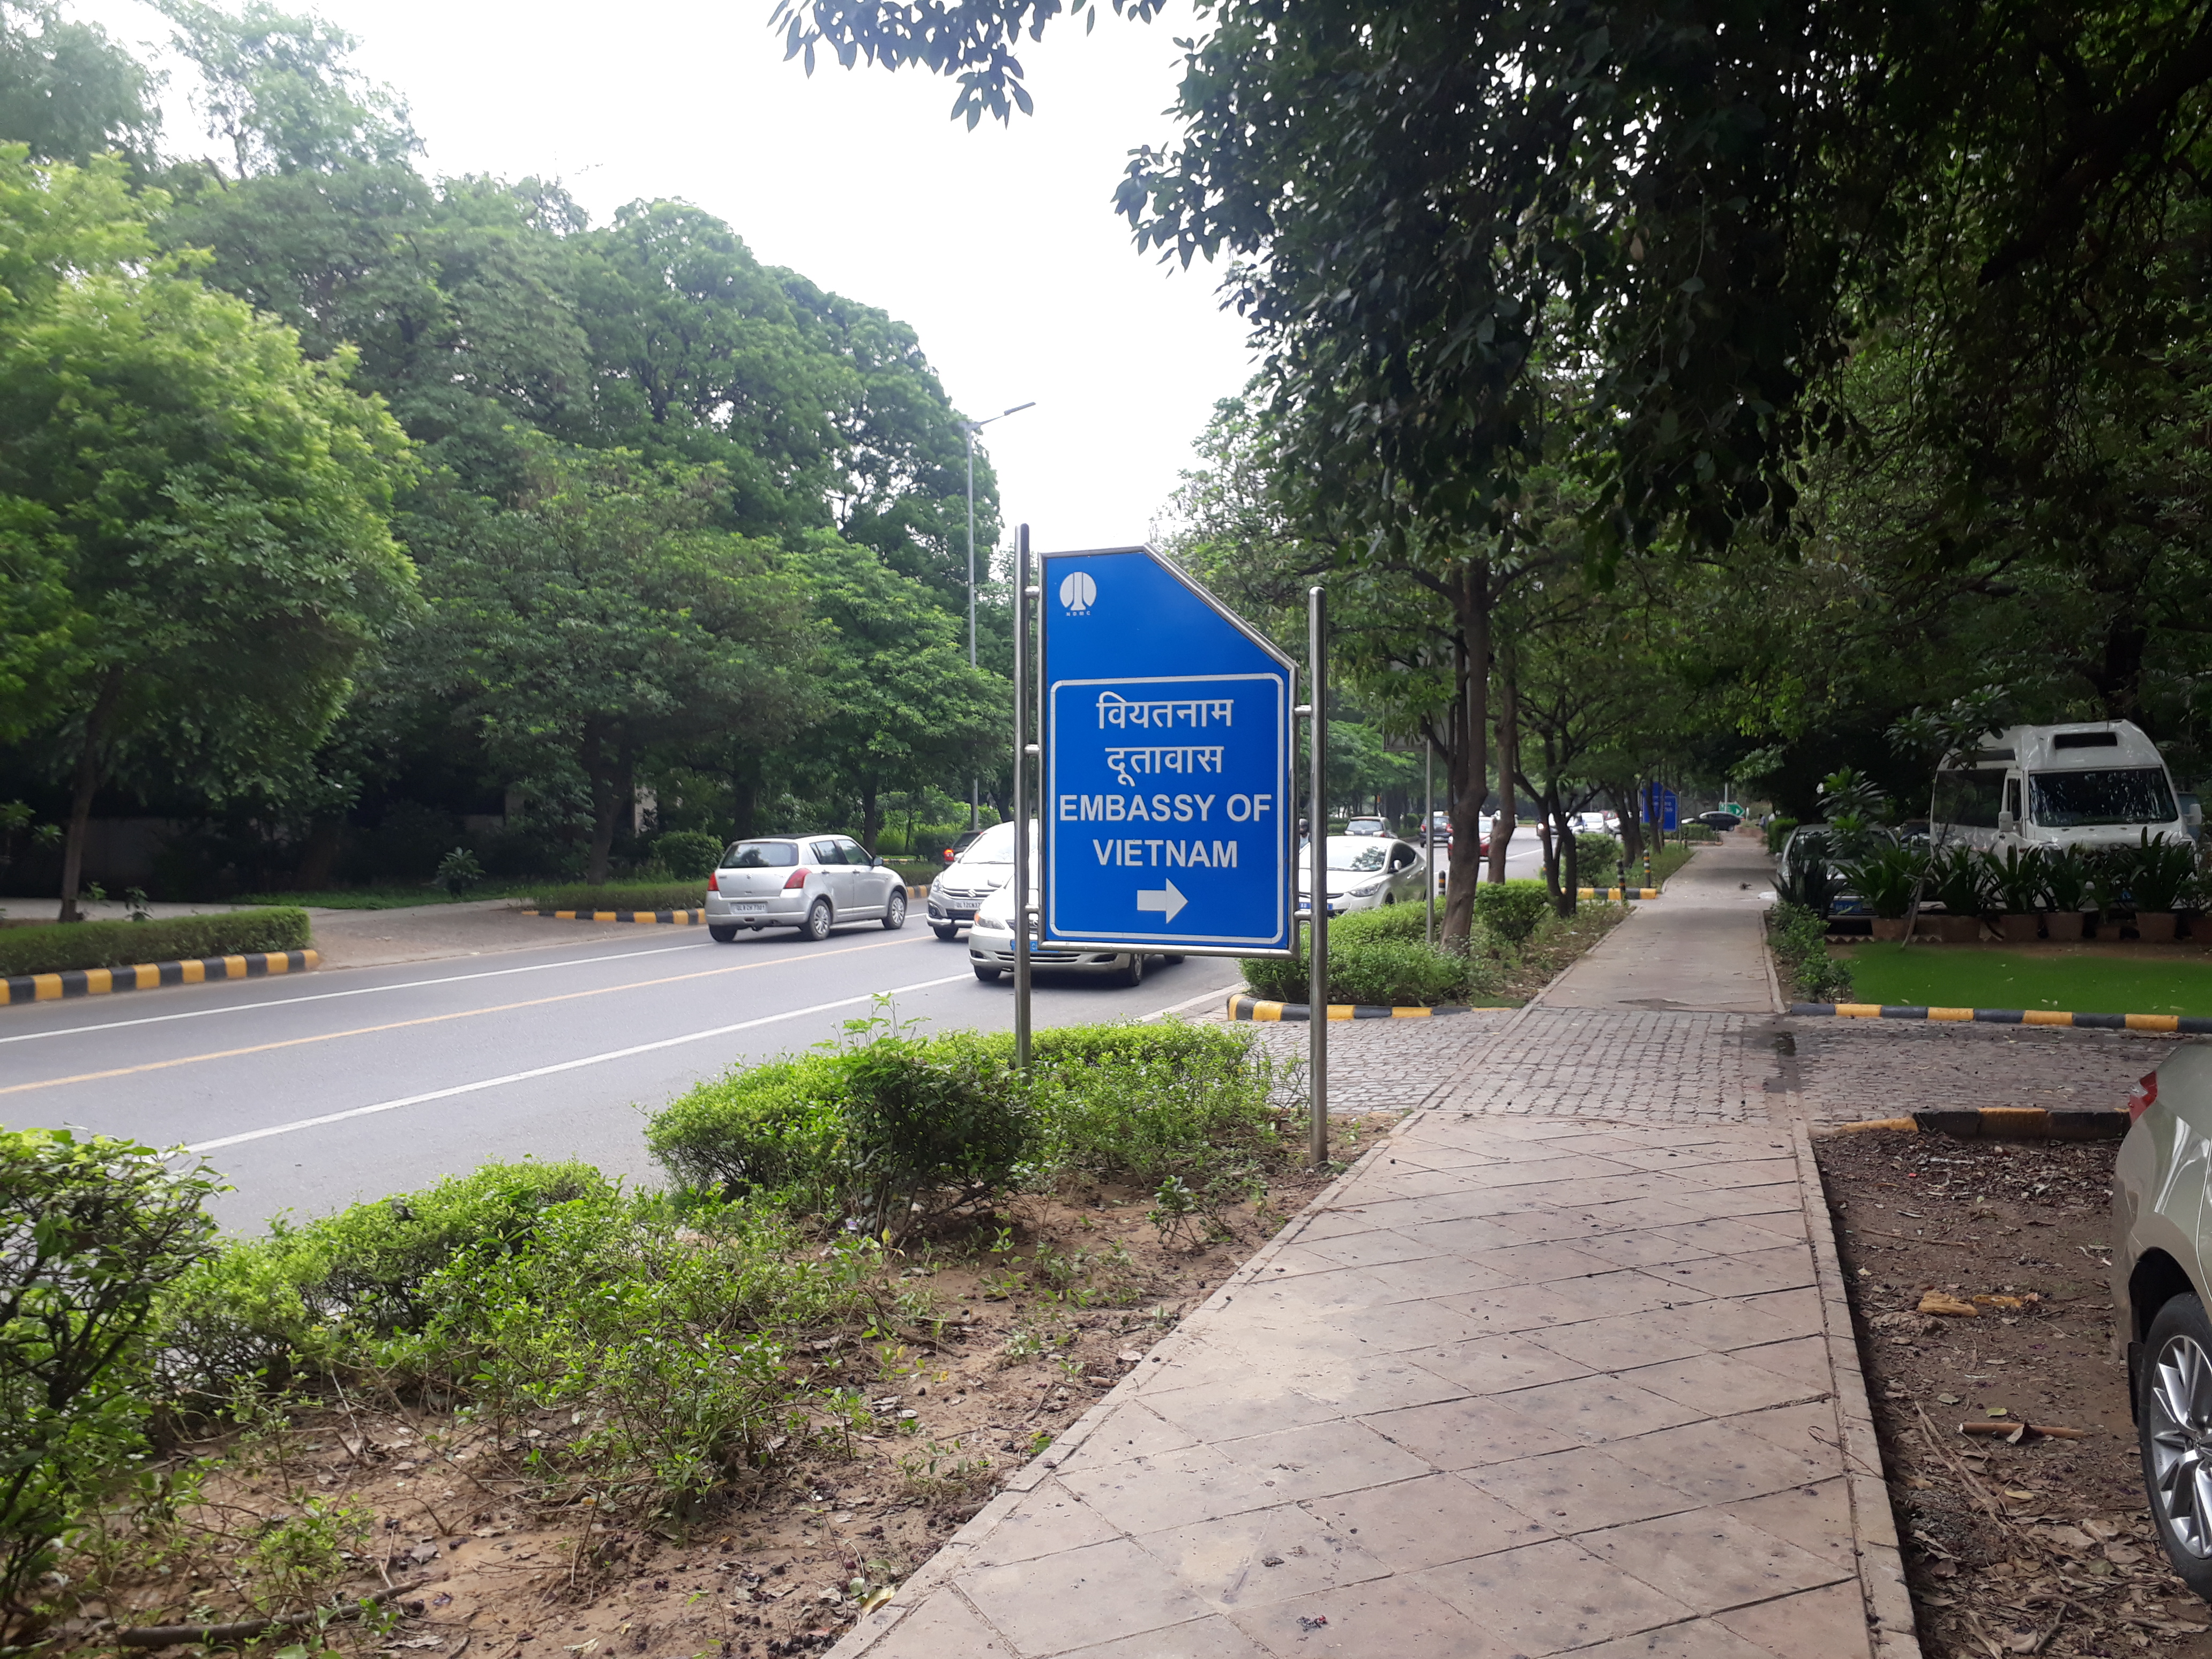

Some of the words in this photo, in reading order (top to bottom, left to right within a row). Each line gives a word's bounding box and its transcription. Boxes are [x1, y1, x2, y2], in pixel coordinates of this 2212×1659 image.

[1094, 687, 1236, 734] वियतनाम
[1104, 744, 1225, 788] दूतावास
[1058, 792, 1216, 824] EMBASSY
[1225, 791, 1273, 824] OF
[1093, 838, 1238, 869] VIETNAM